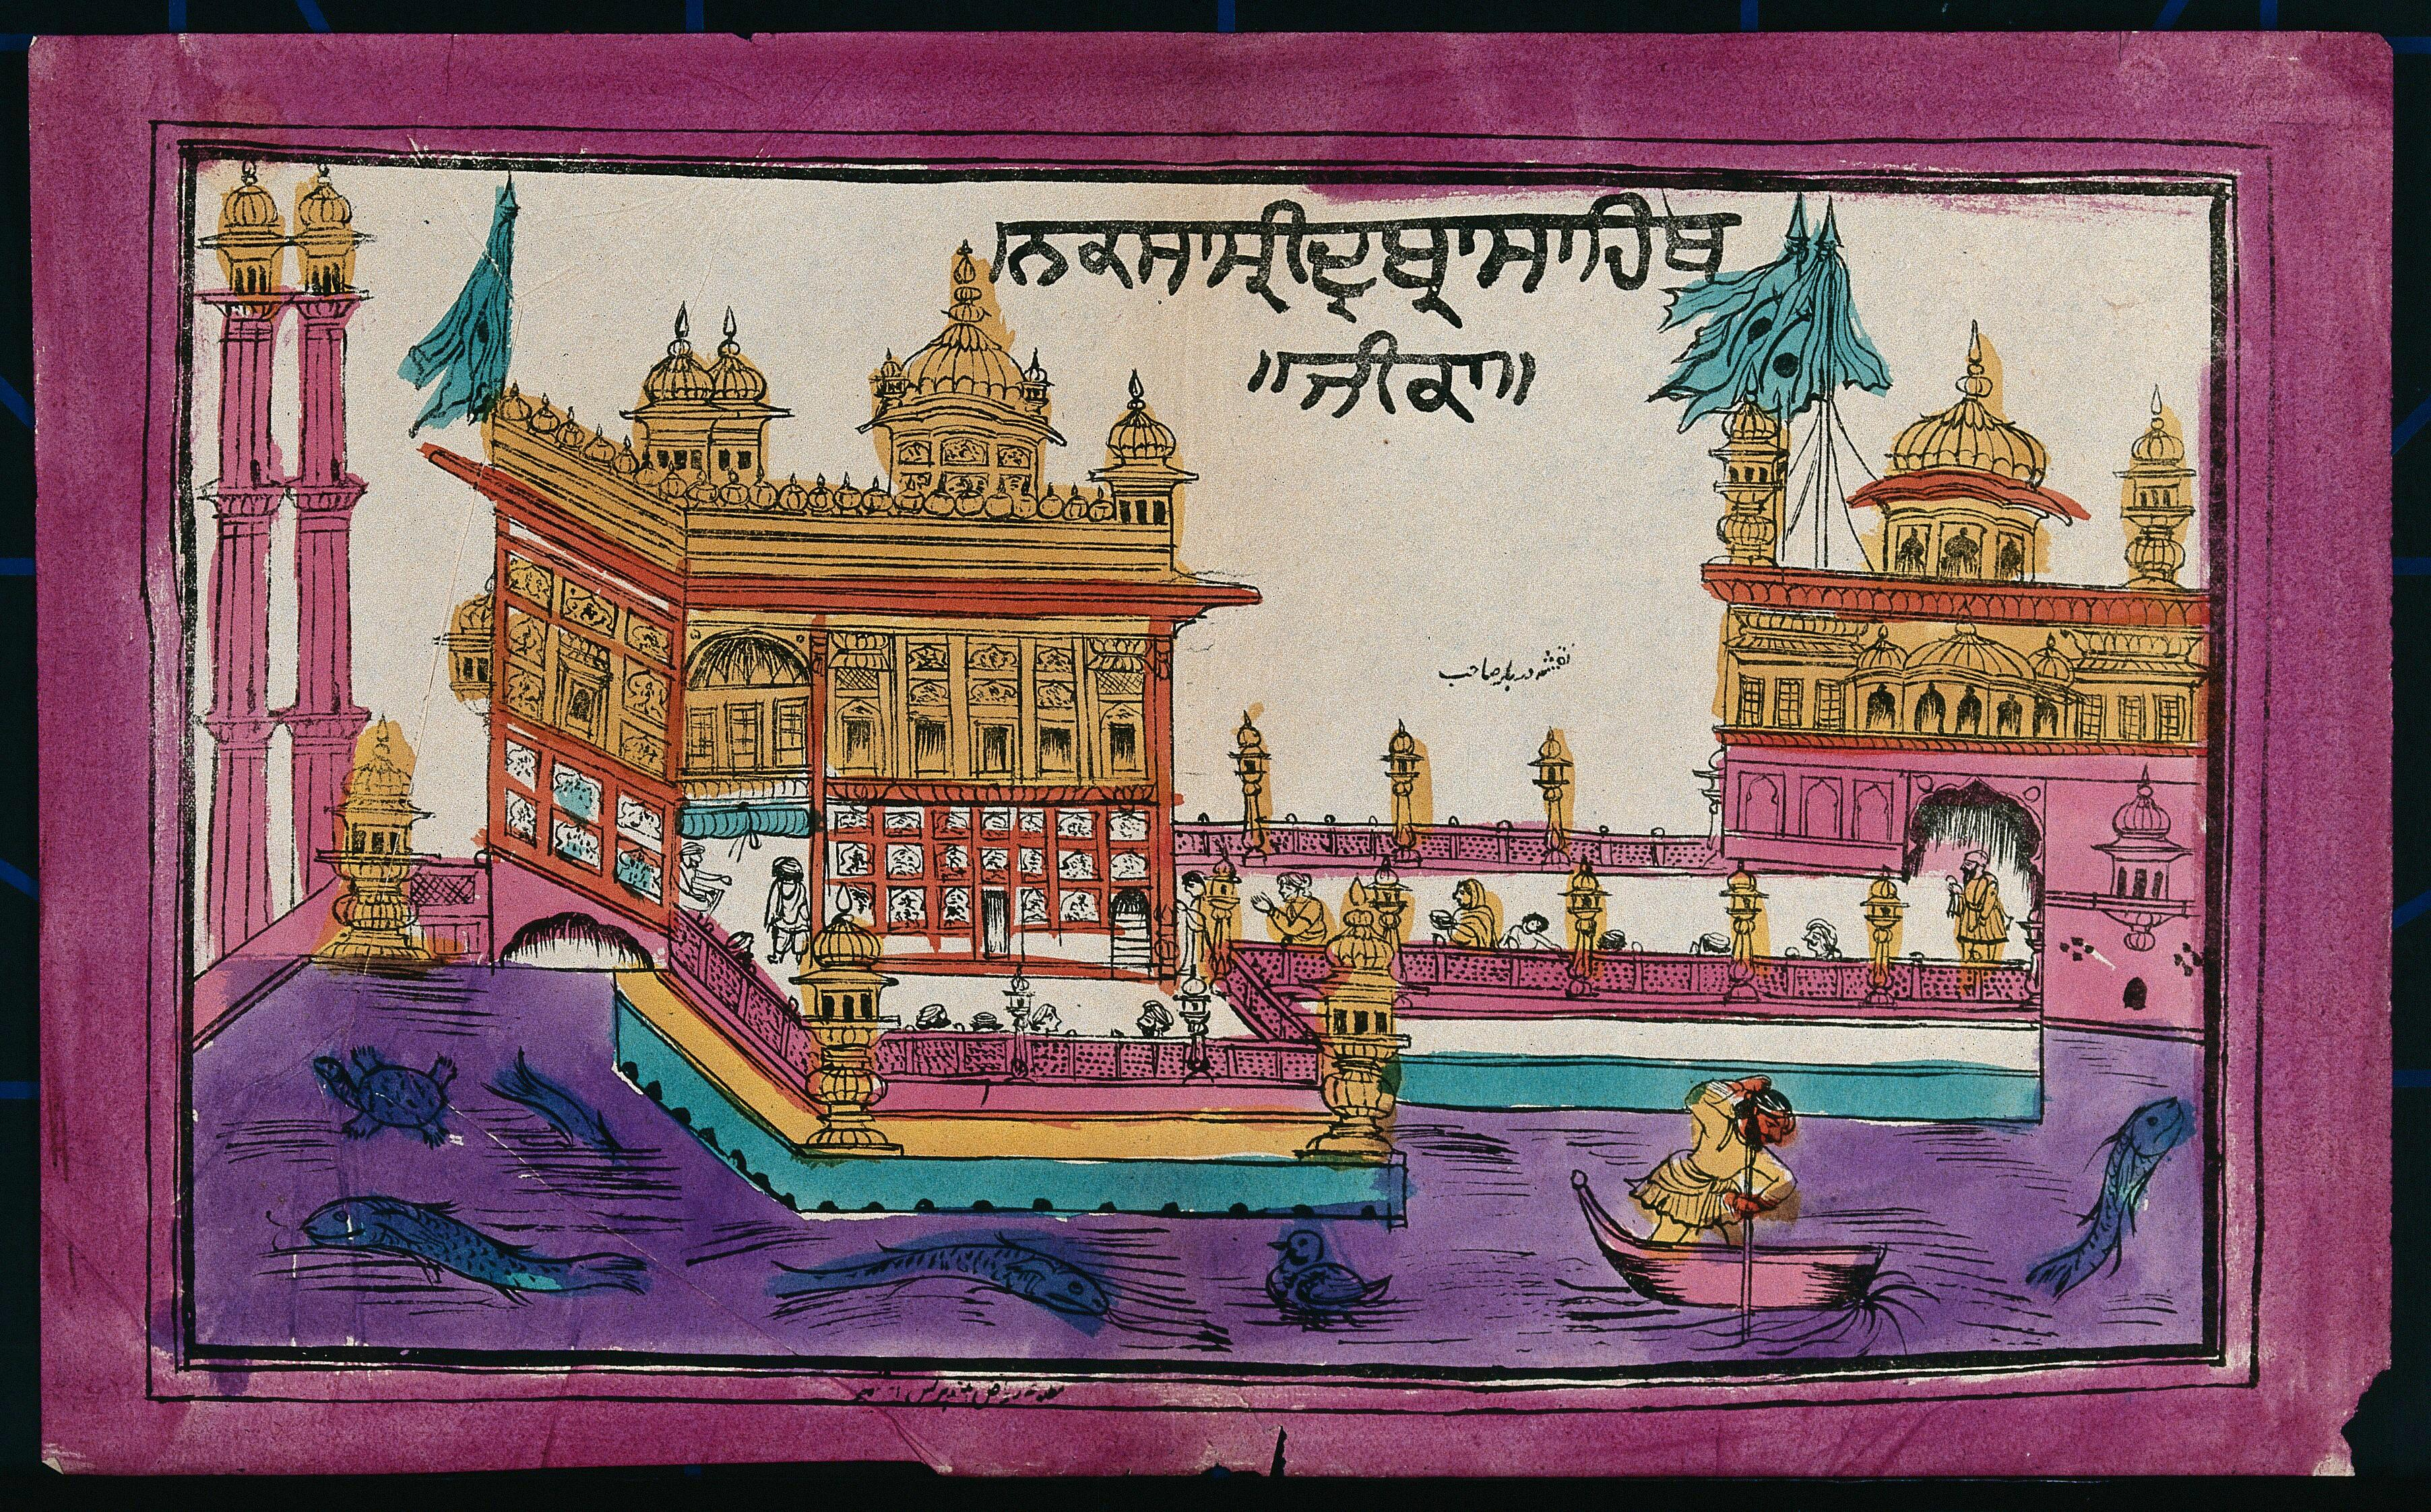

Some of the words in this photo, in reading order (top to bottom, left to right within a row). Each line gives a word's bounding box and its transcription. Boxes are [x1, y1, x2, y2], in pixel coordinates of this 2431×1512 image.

[981, 183, 1760, 336] ਨਕਸਾਸੀ੍ਦ੍ਬ੍ਸਾਹਿਬ
[1237, 322, 1558, 439] "ਜੀਕਾ"